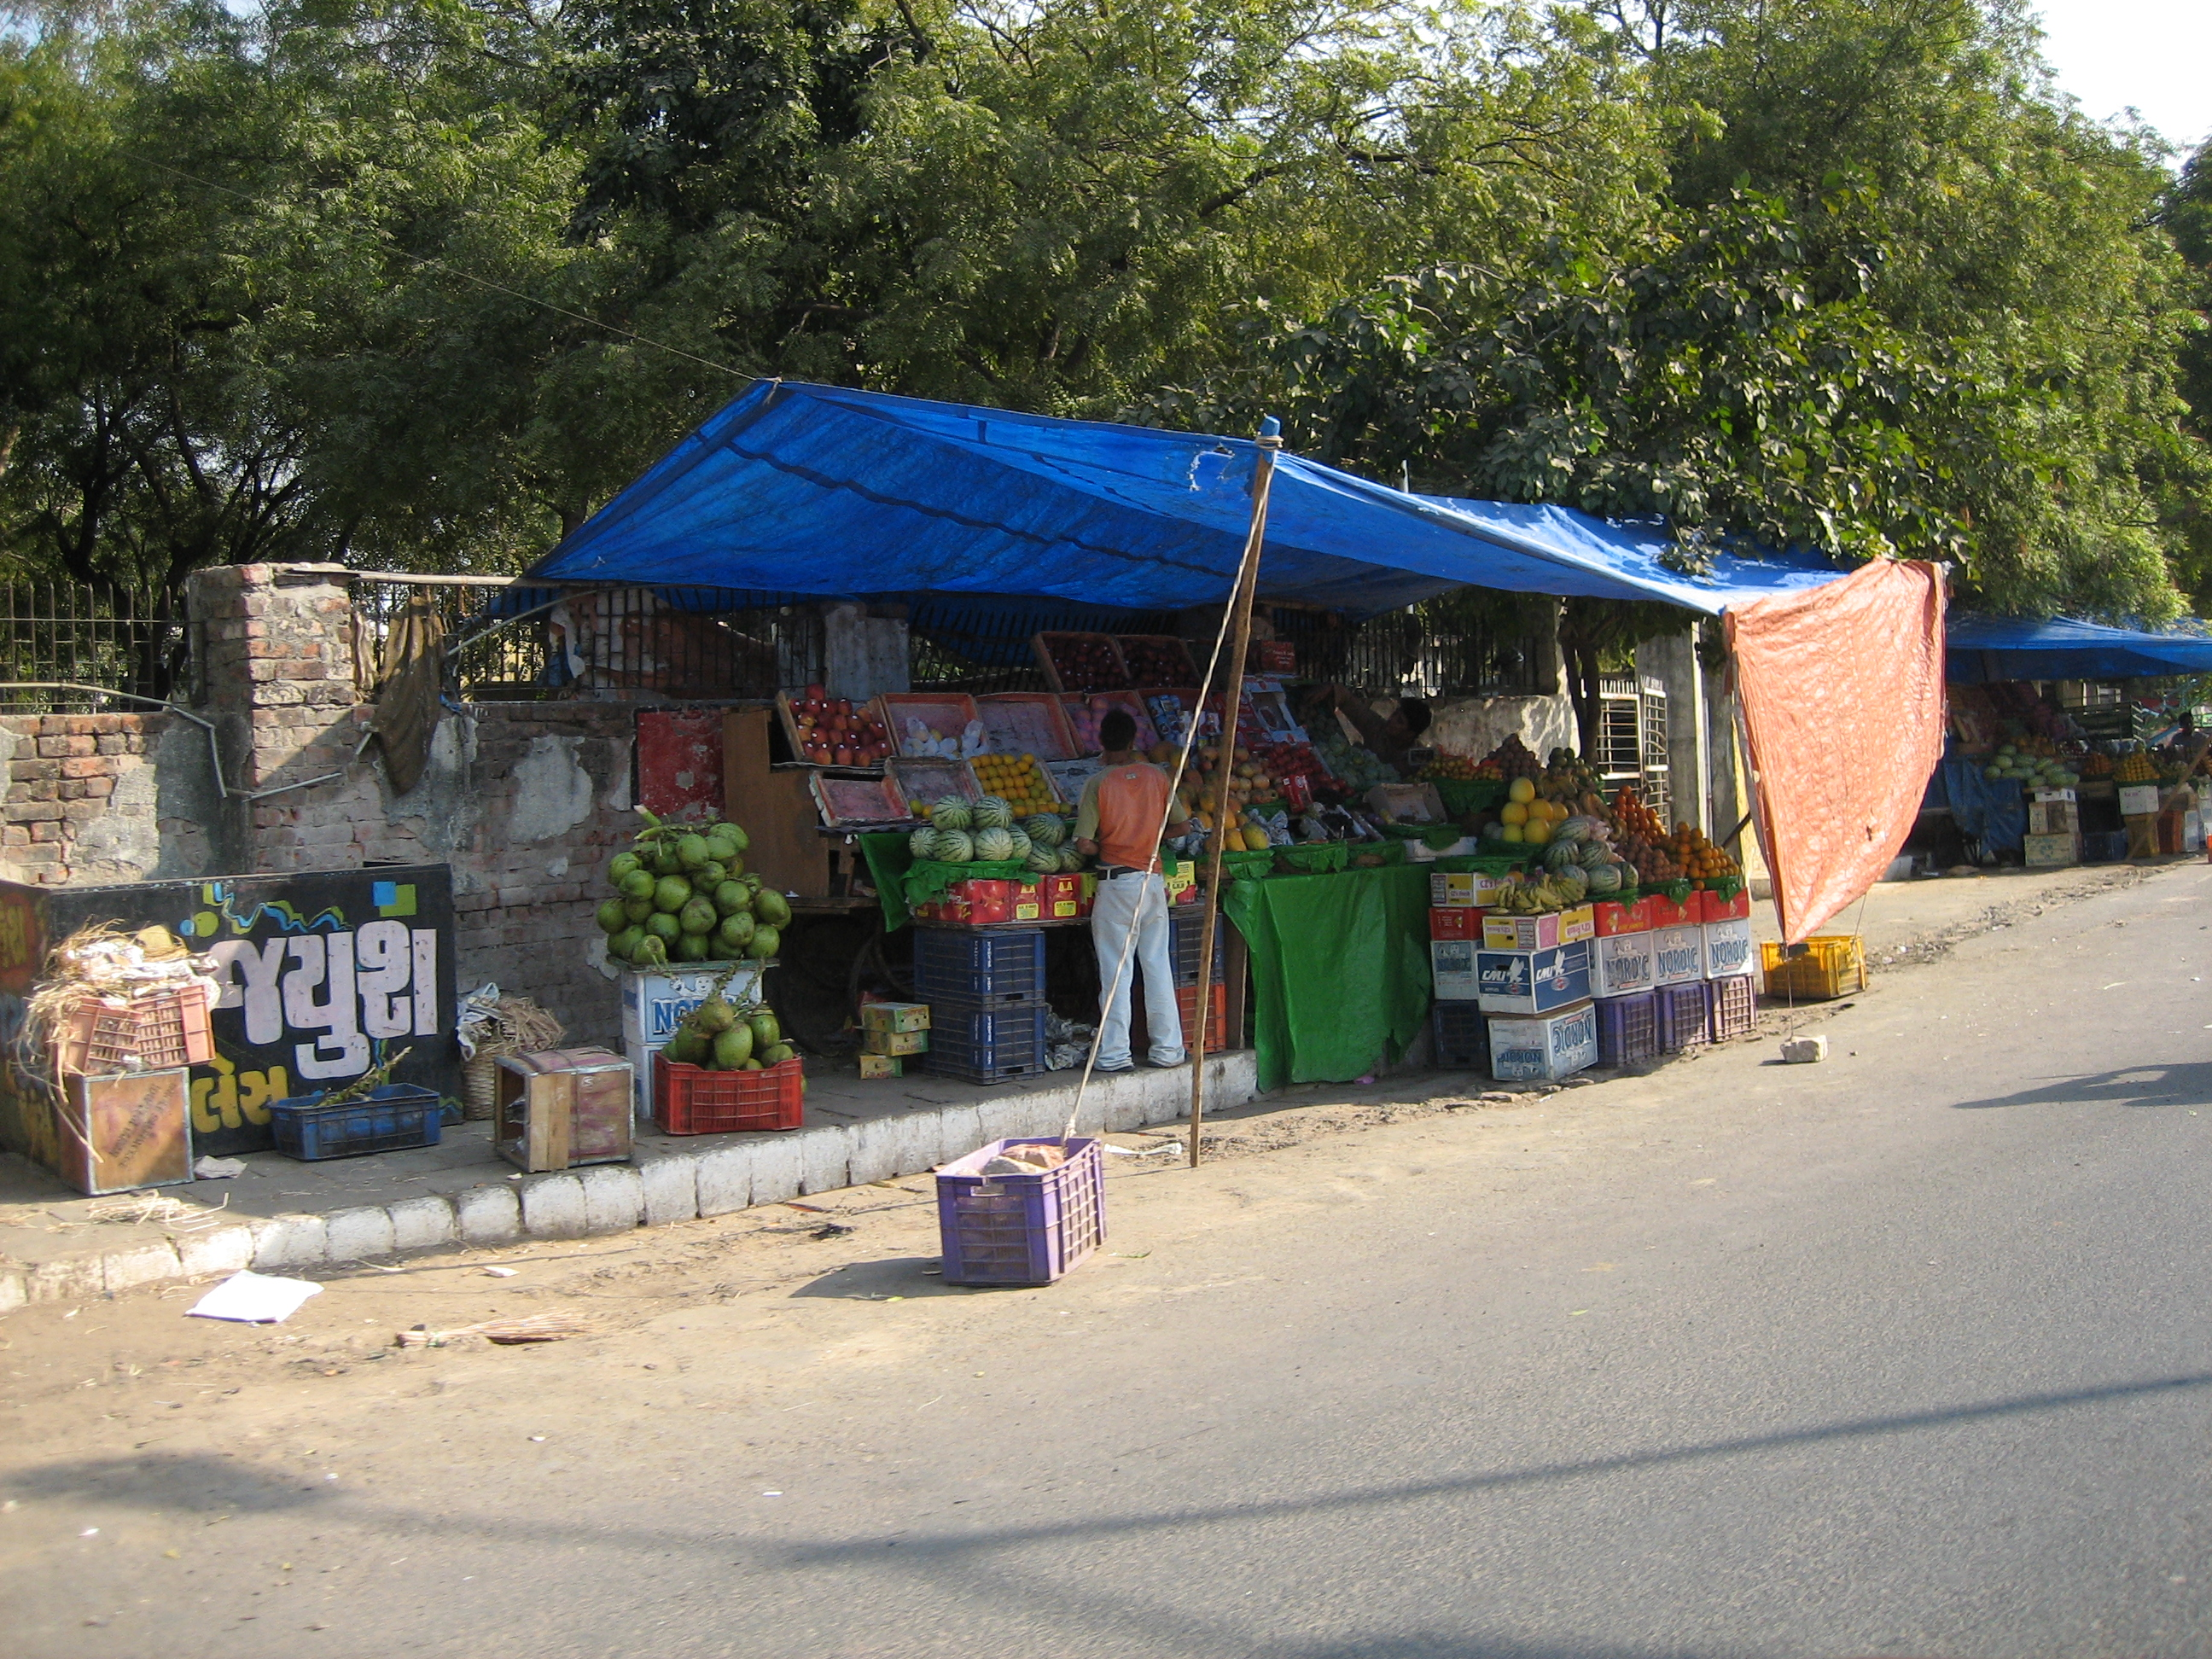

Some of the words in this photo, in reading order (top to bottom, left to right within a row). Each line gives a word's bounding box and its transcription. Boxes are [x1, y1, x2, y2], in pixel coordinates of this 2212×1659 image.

[194, 911, 441, 1078] જયુશ
[187, 1052, 294, 1136] લેસ